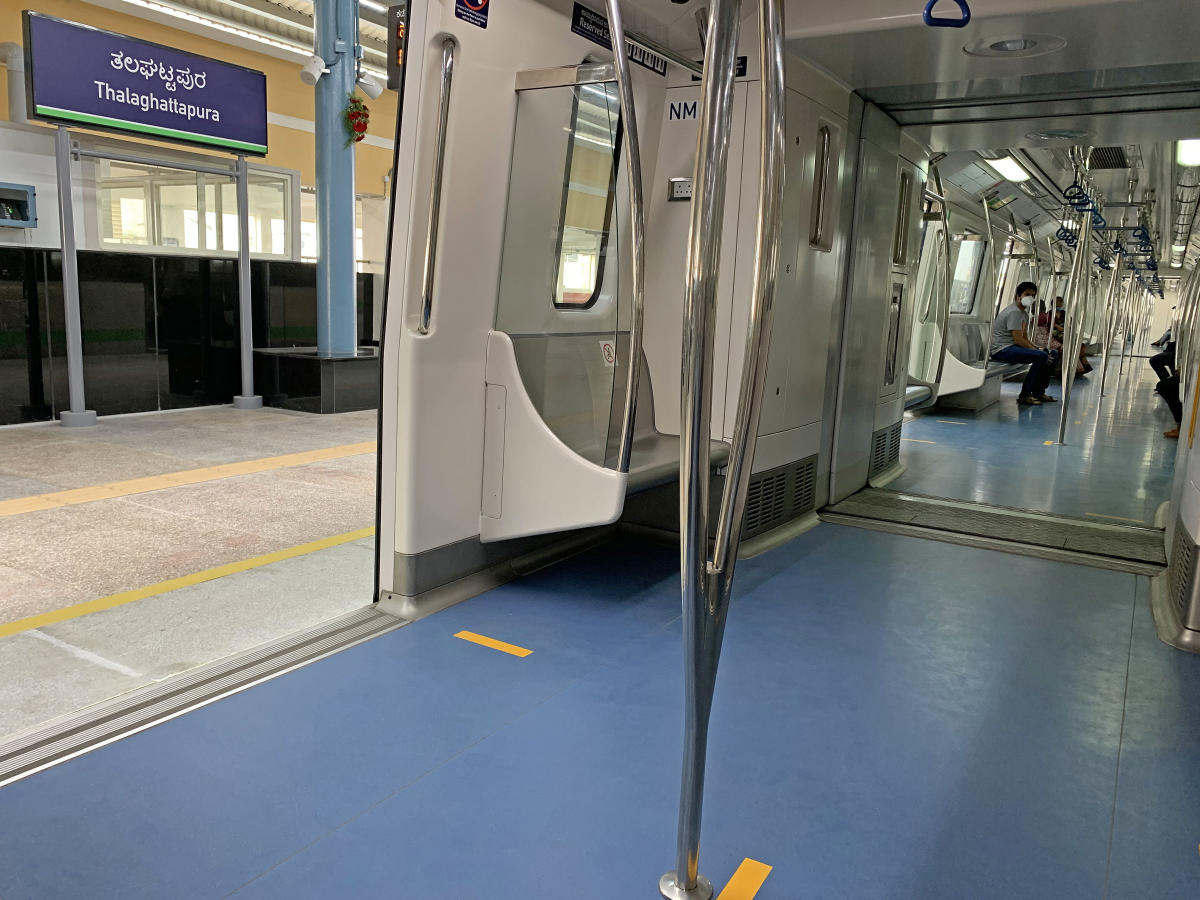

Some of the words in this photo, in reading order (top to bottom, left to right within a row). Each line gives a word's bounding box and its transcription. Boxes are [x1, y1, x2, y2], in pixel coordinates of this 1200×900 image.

[105, 47, 211, 96] ತಲಘಟ್ಟಪುರ
[91, 75, 225, 123] Thalaghattapura